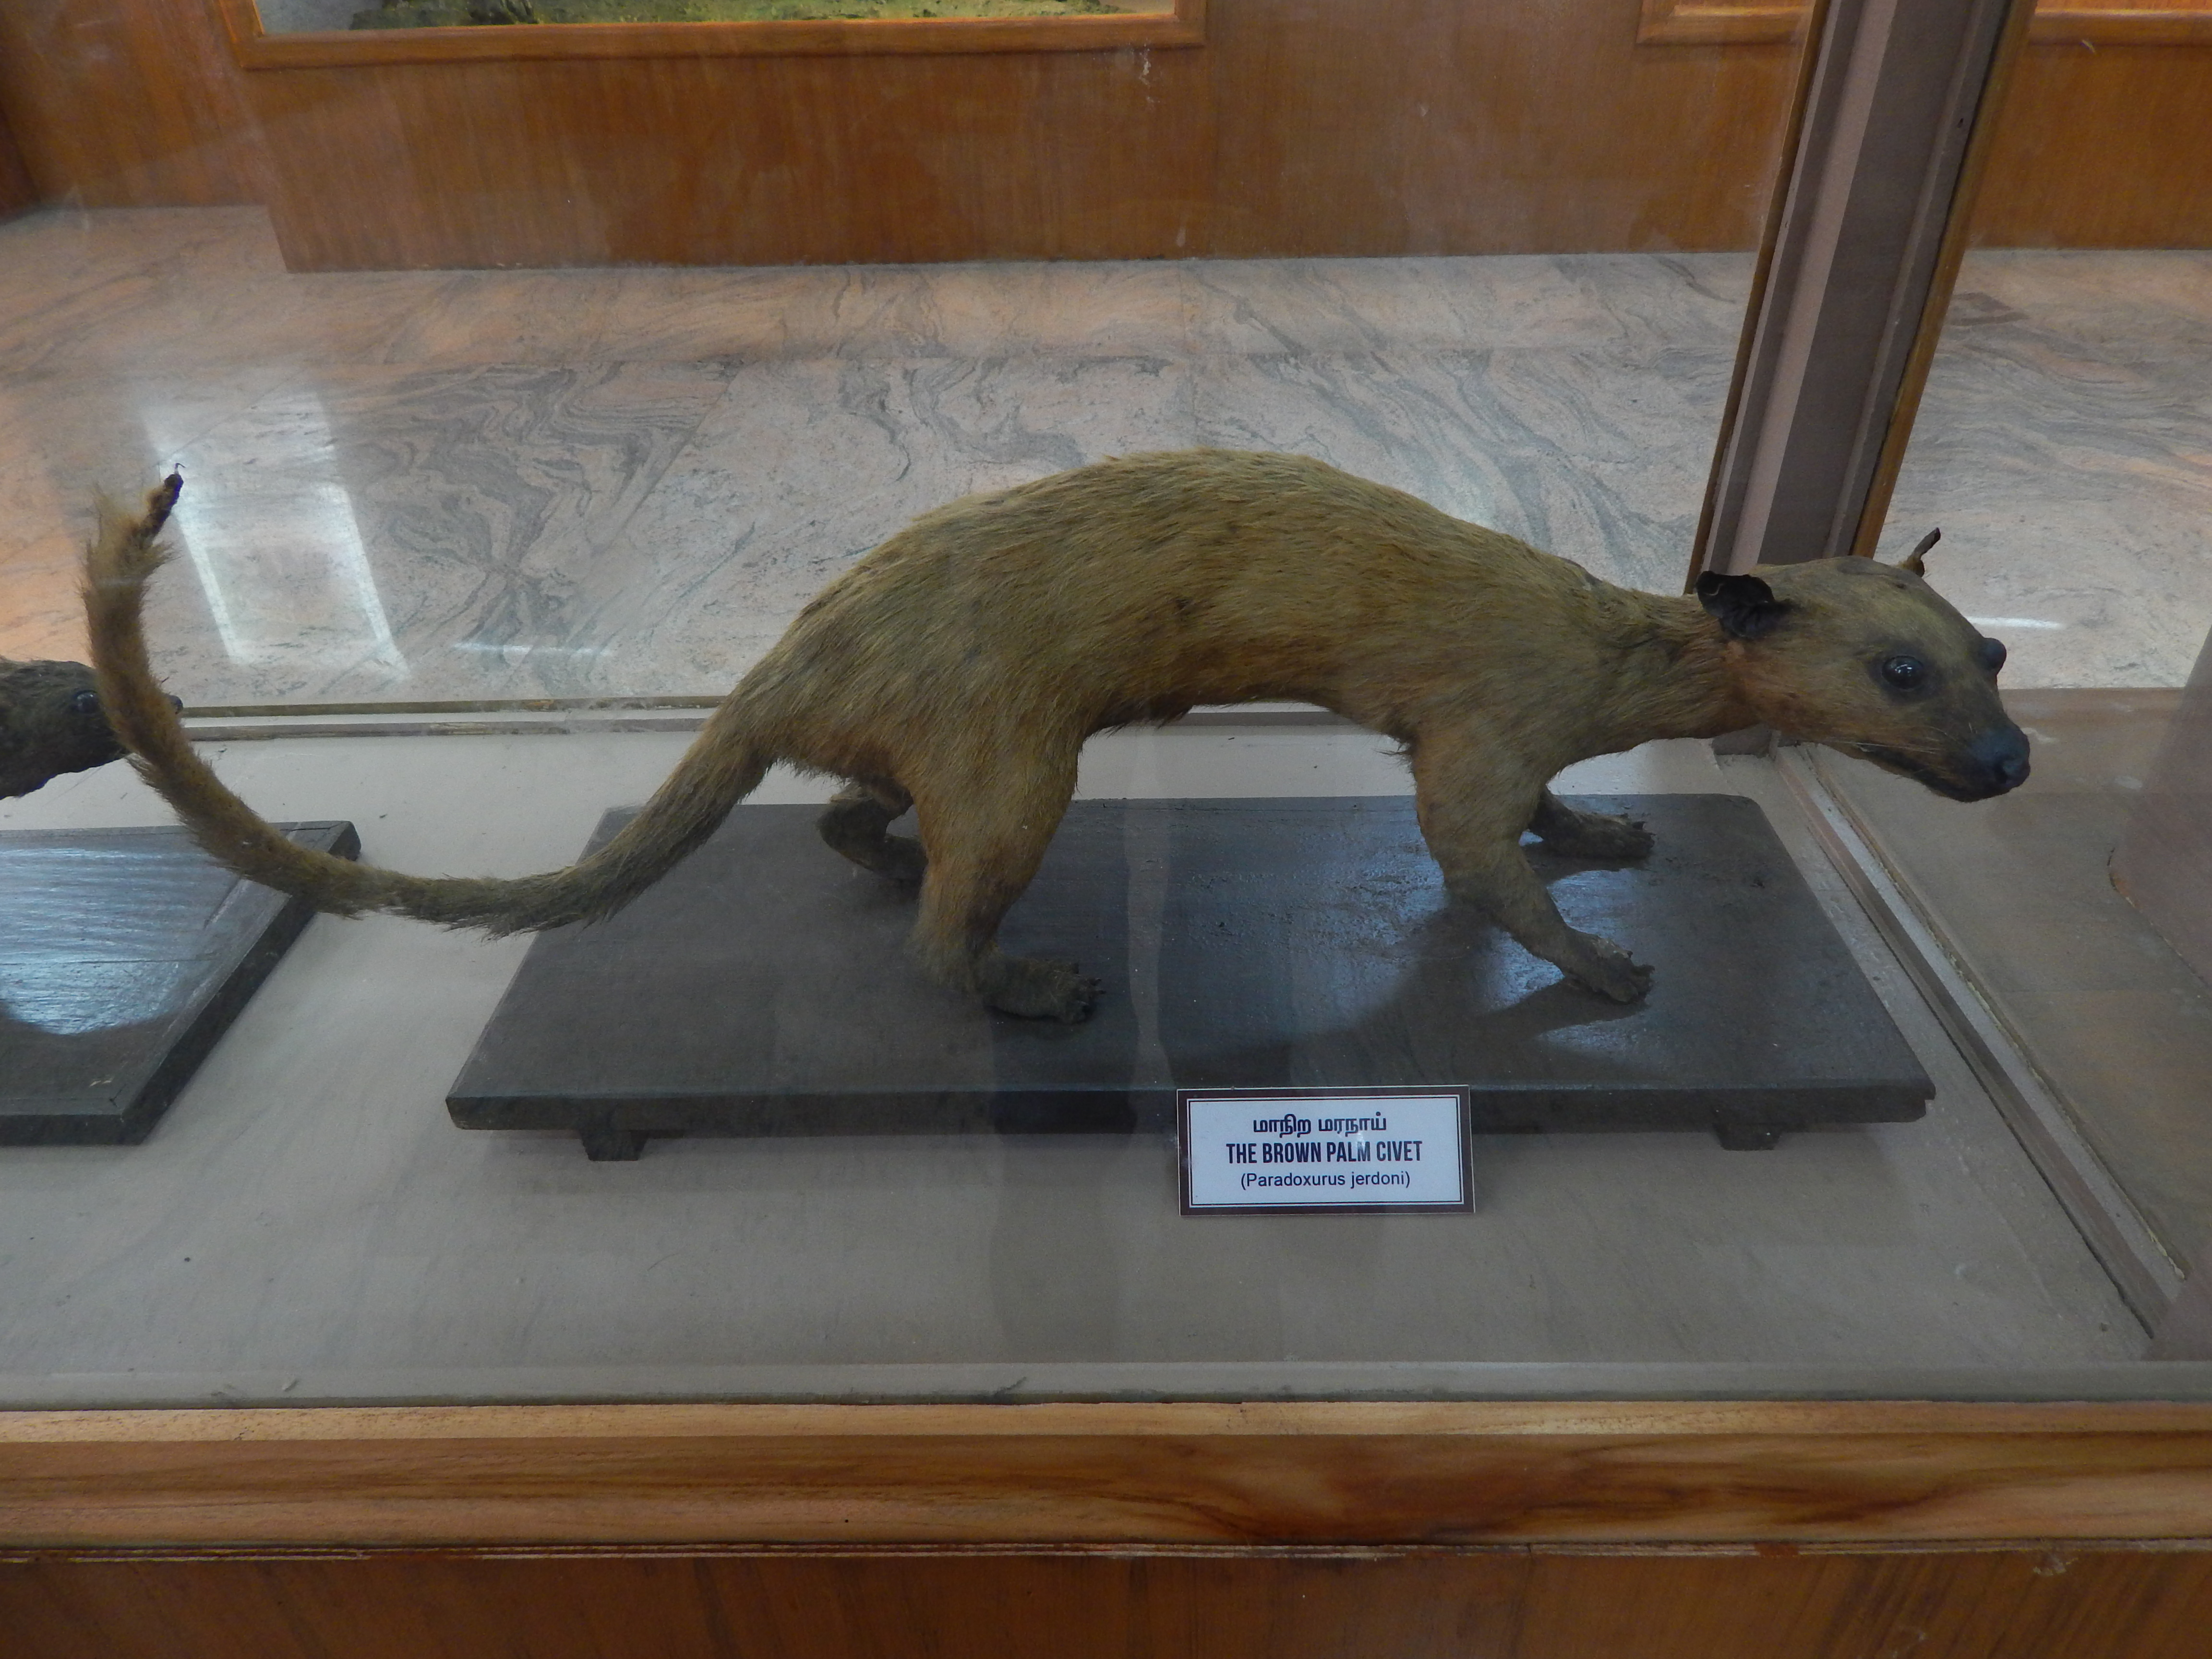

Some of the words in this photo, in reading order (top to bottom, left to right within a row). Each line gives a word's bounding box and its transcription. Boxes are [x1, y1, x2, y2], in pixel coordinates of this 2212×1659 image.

[1247, 1110, 1314, 1139] மாநிற
[1311, 1108, 1389, 1137] மரநாய்
[1224, 1141, 1259, 1166] THE
[1260, 1140, 1323, 1167] BROWN
[1322, 1139, 1373, 1163] PALM
[1373, 1137, 1424, 1164] CIVET
[1244, 1167, 1347, 1188] Paradoxurus
[1348, 1167, 1407, 1192] ப்௭௧௦௦௦